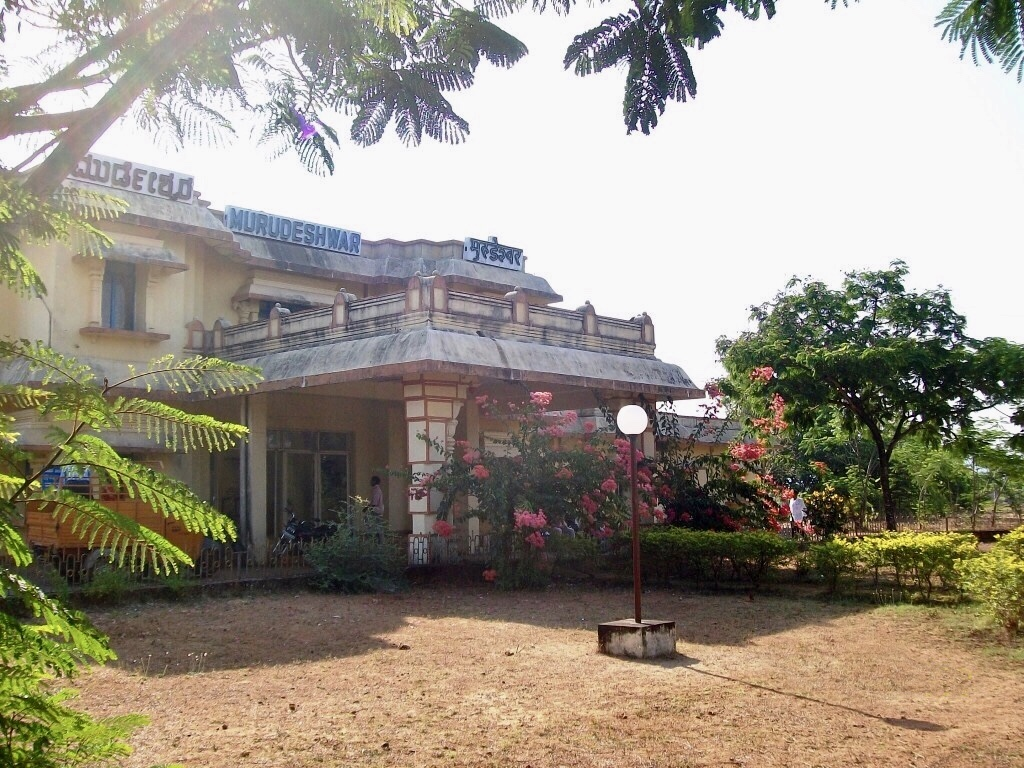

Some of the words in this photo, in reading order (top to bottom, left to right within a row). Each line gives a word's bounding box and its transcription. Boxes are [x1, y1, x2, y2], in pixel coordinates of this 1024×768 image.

[225, 202, 363, 261] MURUDESHWAR
[467, 229, 526, 270] मुरूडेश्वर